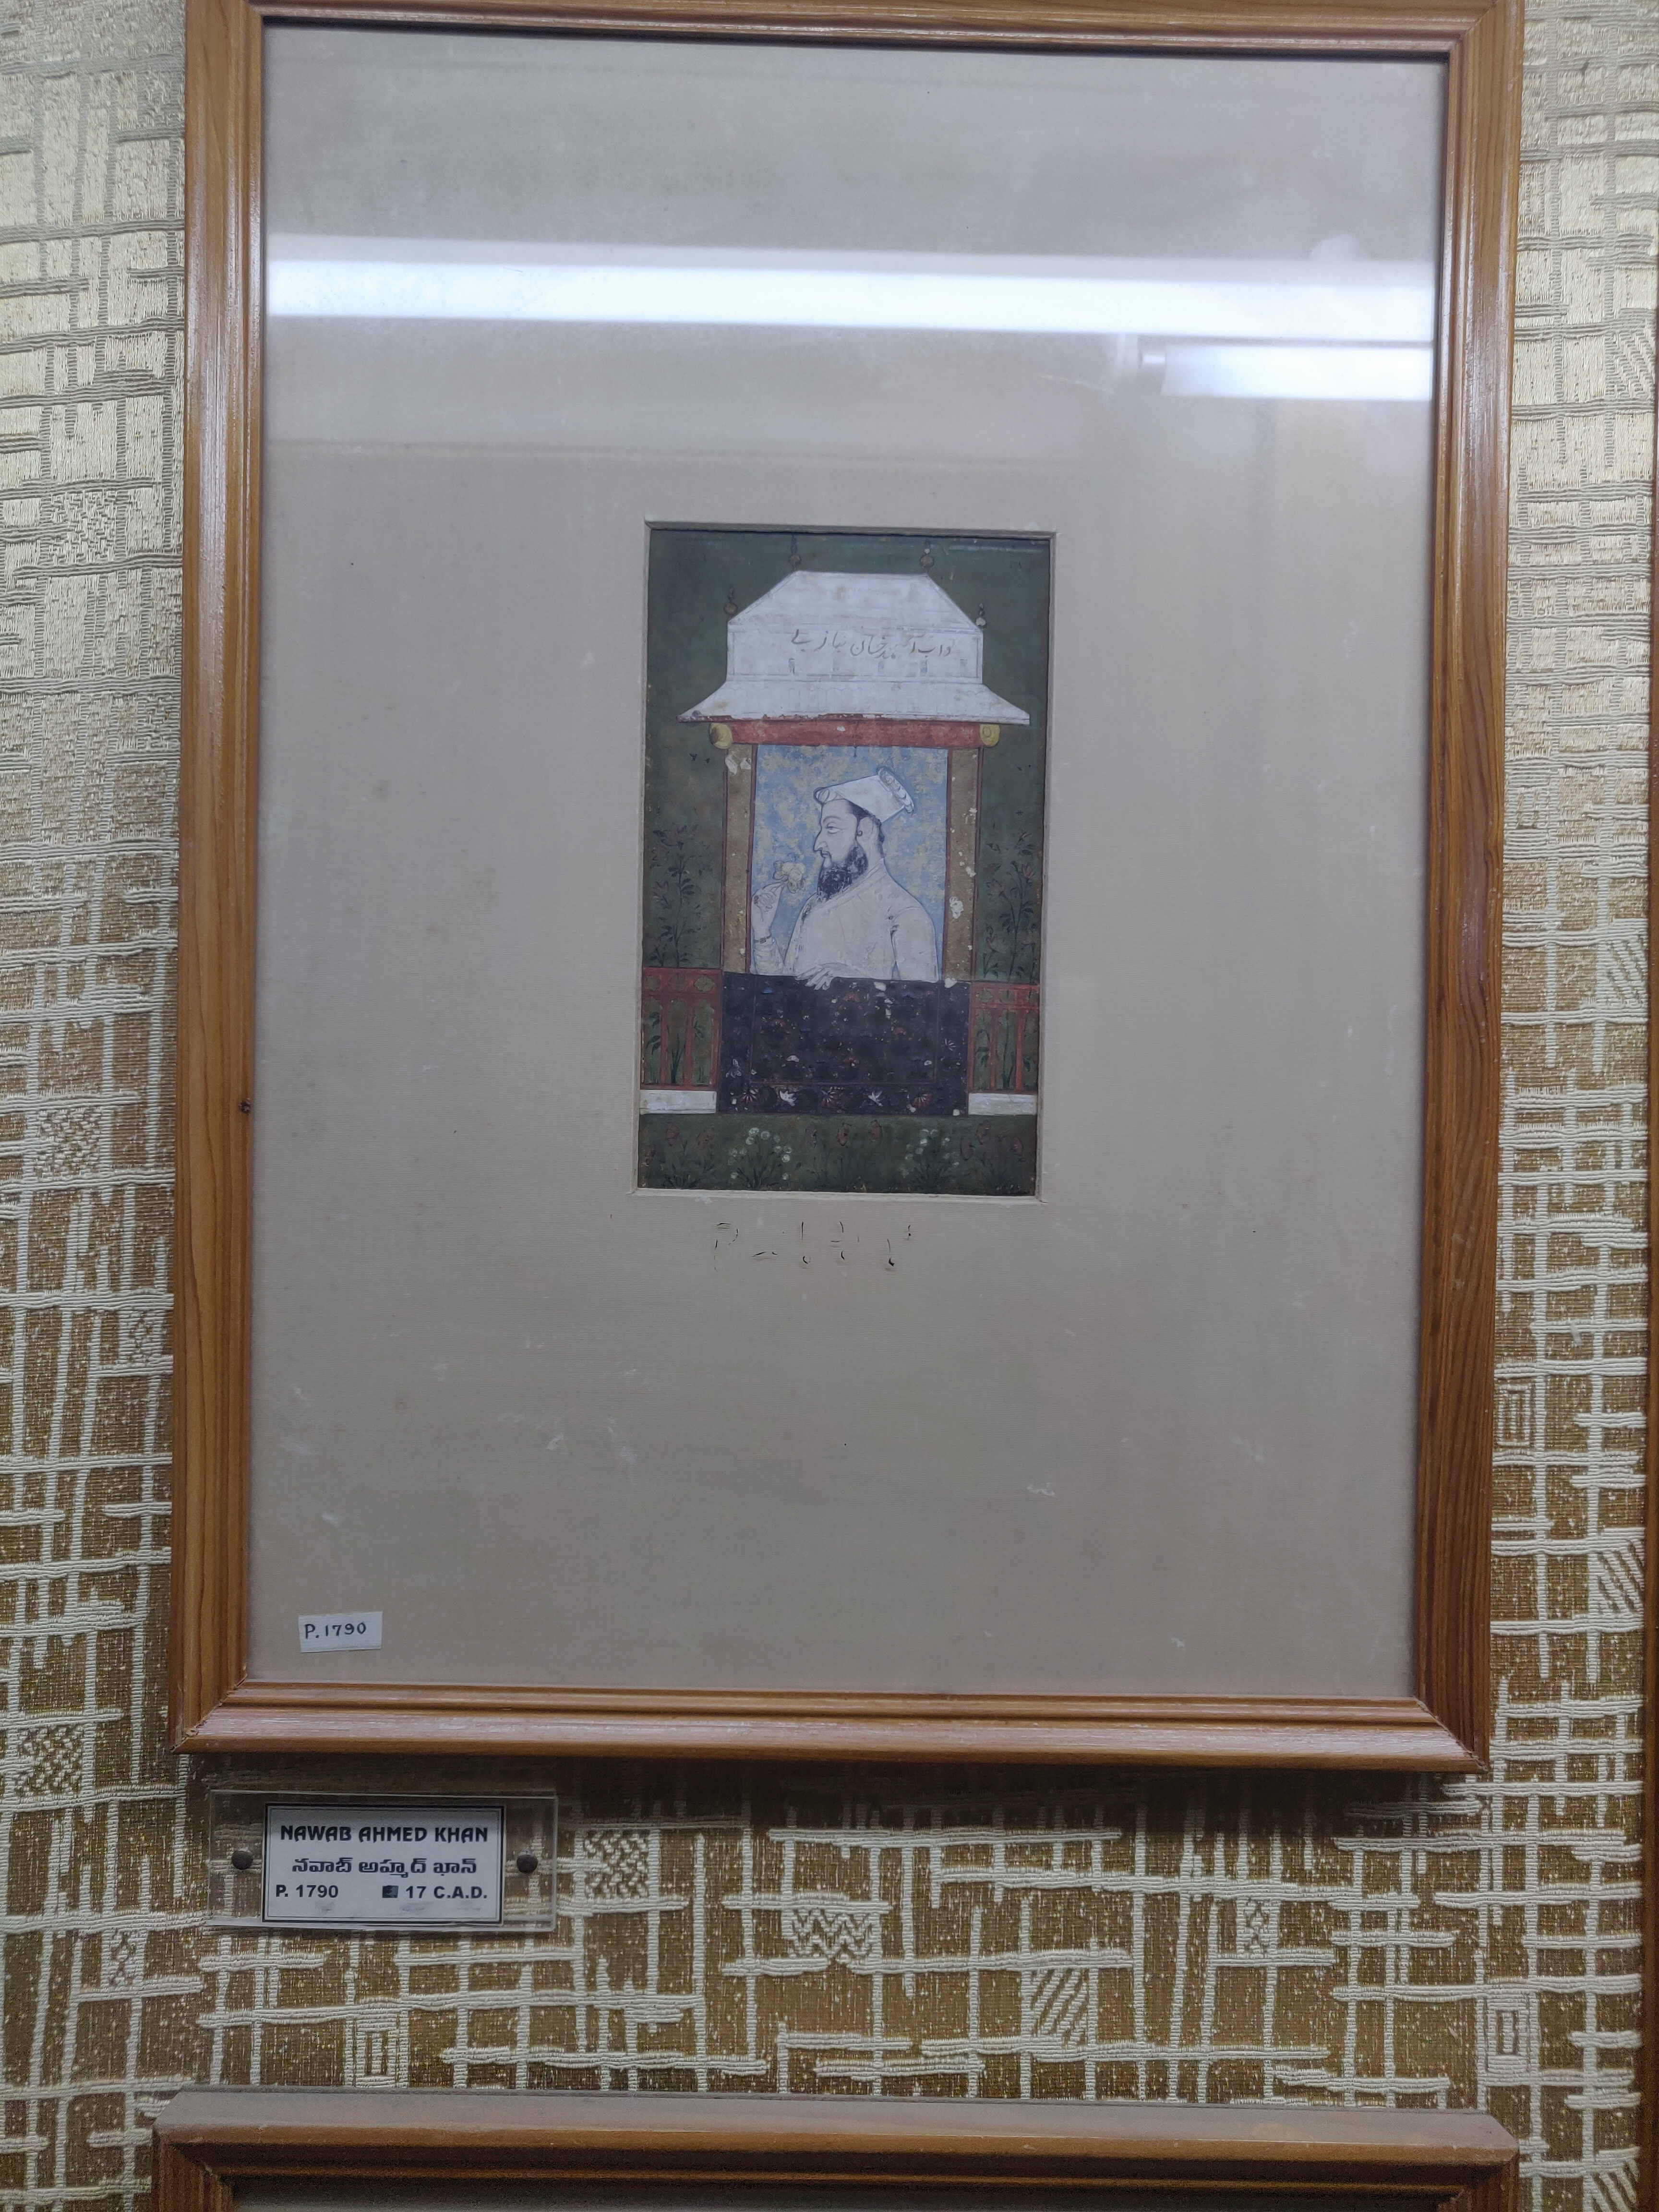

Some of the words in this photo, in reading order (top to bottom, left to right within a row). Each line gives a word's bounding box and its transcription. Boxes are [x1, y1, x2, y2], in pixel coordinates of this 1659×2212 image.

[278, 1822, 353, 1843] NAWAB
[355, 1824, 429, 1845] AHMED
[433, 1825, 490, 1845] KHAN
[288, 1853, 357, 1876] నవాబ్
[355, 1856, 429, 1880] అహ్మద్
[432, 1857, 479, 1875] ఖాన్
[273, 1880, 340, 1900] P.1790
[406, 1882, 489, 1901] 17C.A.D.